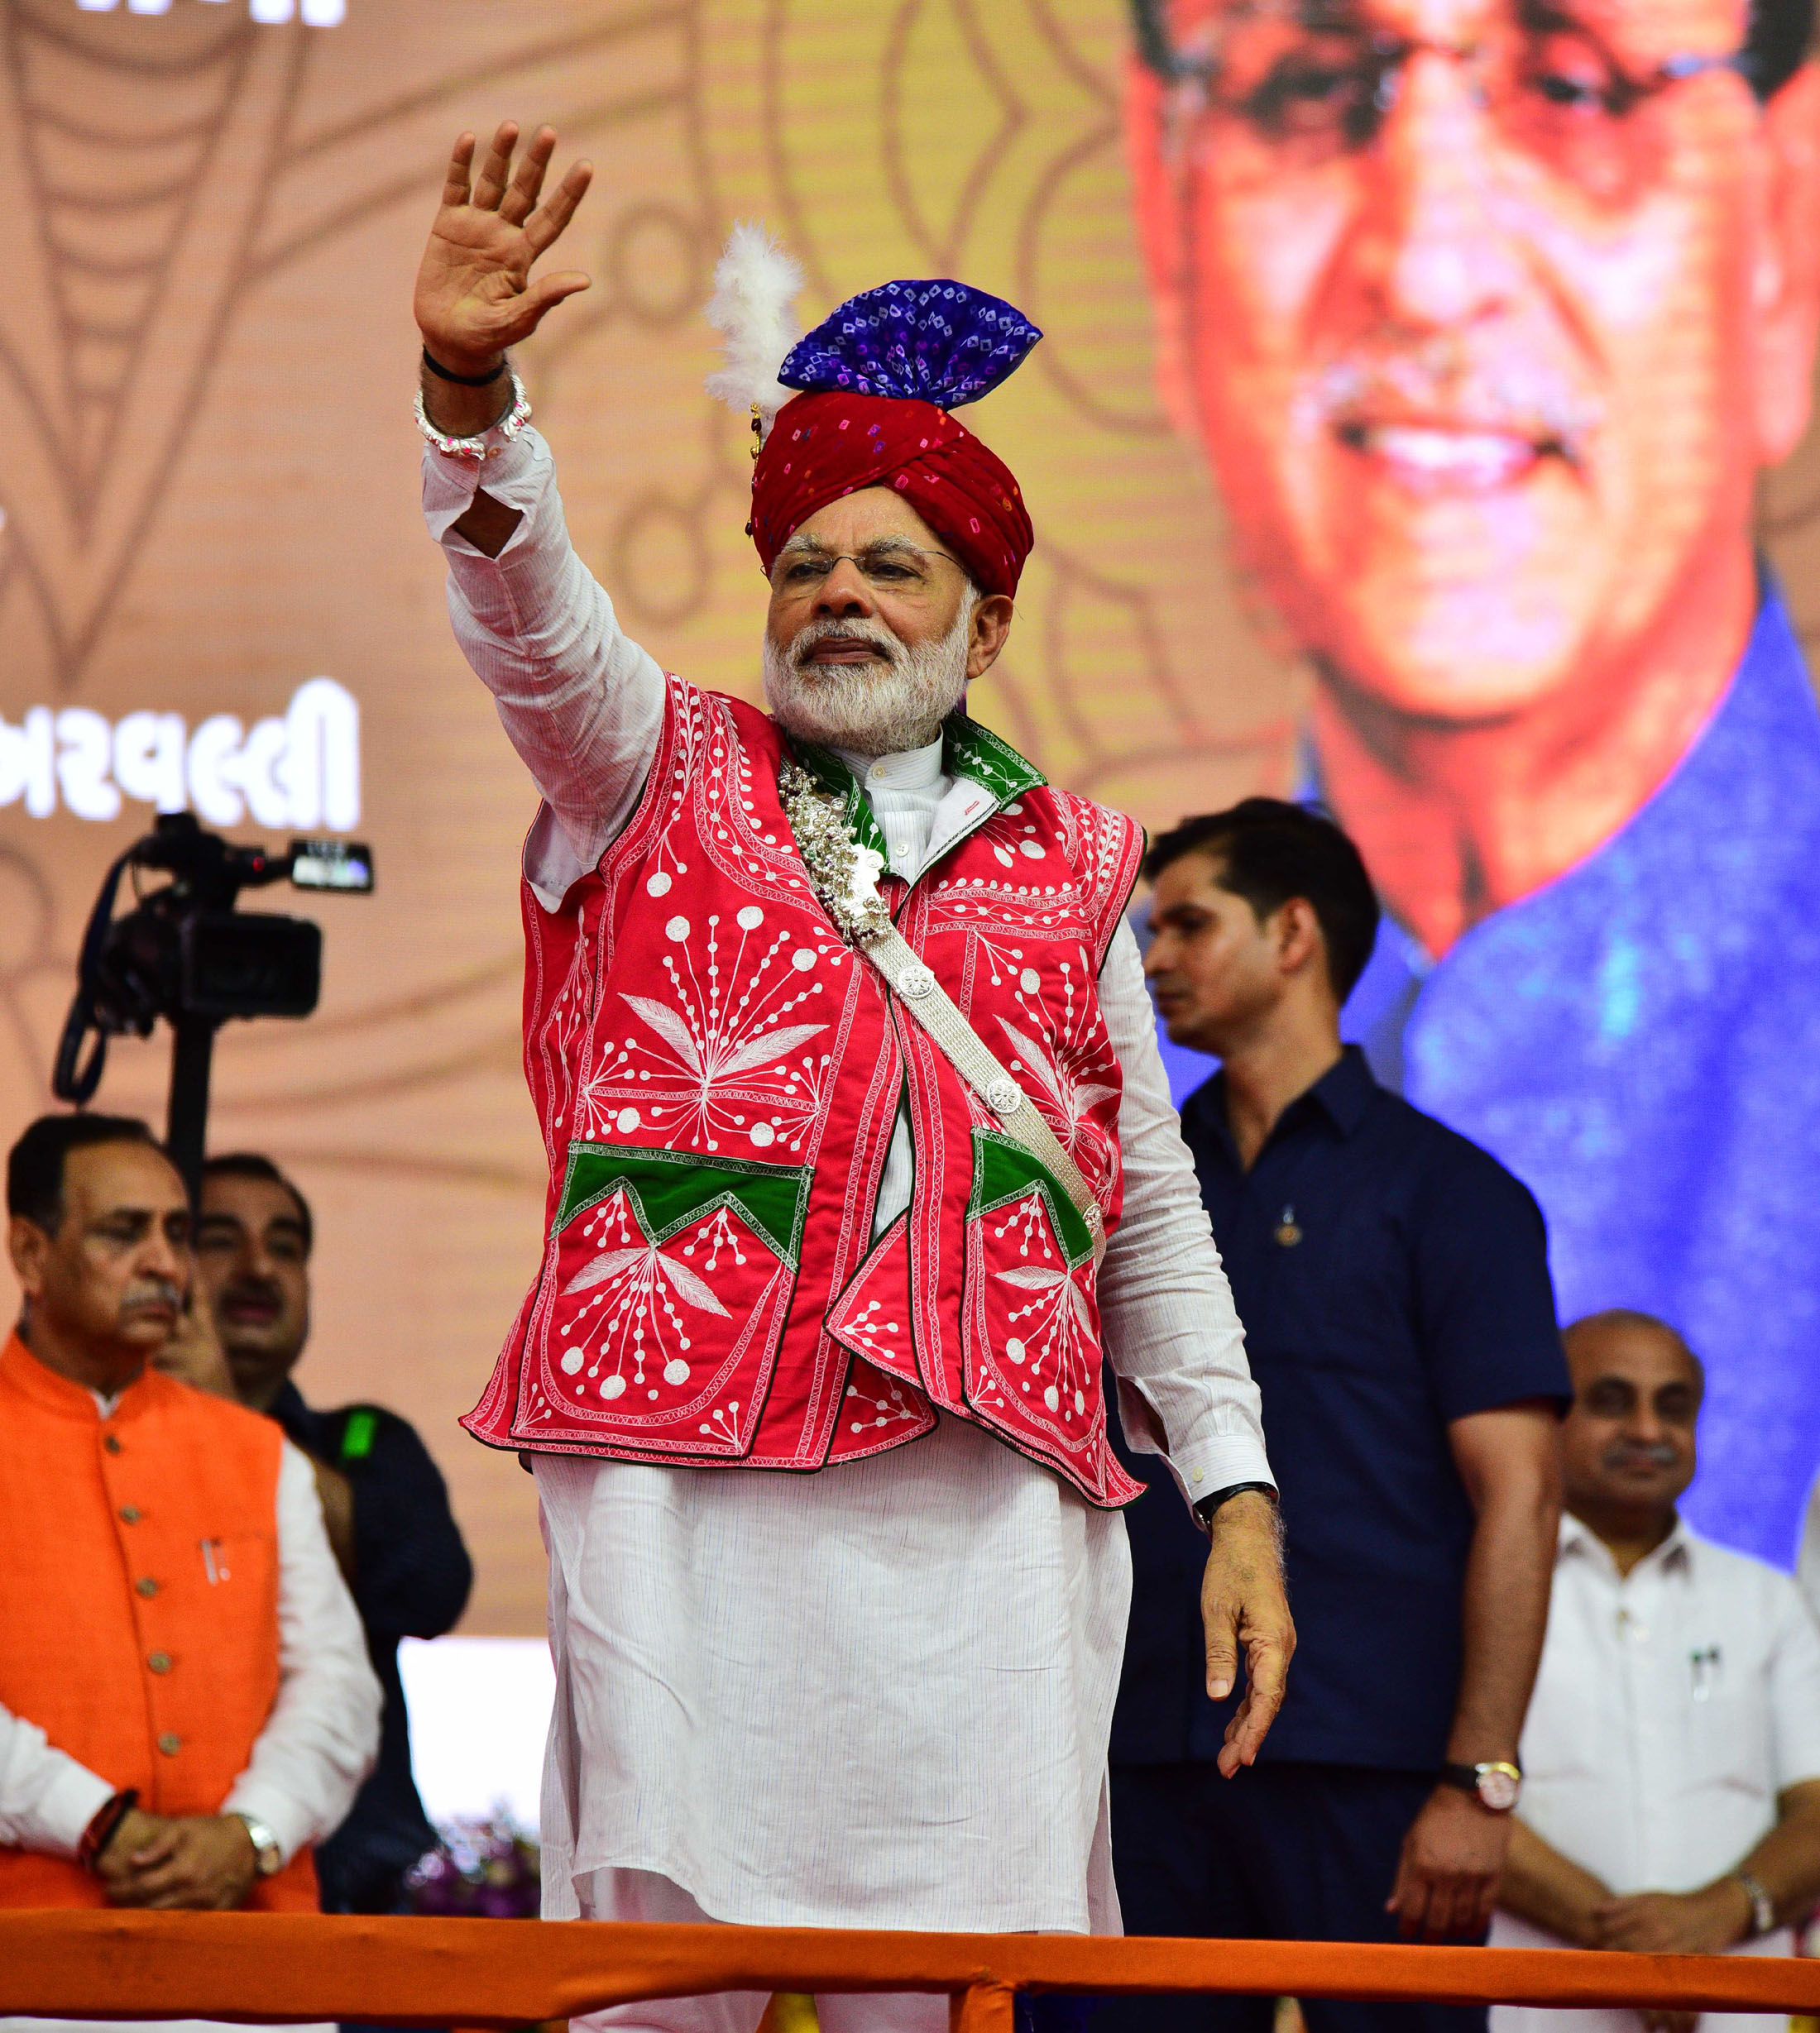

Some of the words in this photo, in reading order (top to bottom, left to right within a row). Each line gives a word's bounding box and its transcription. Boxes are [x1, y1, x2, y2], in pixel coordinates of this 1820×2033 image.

[0, 670, 381, 837] અરવલ્લી